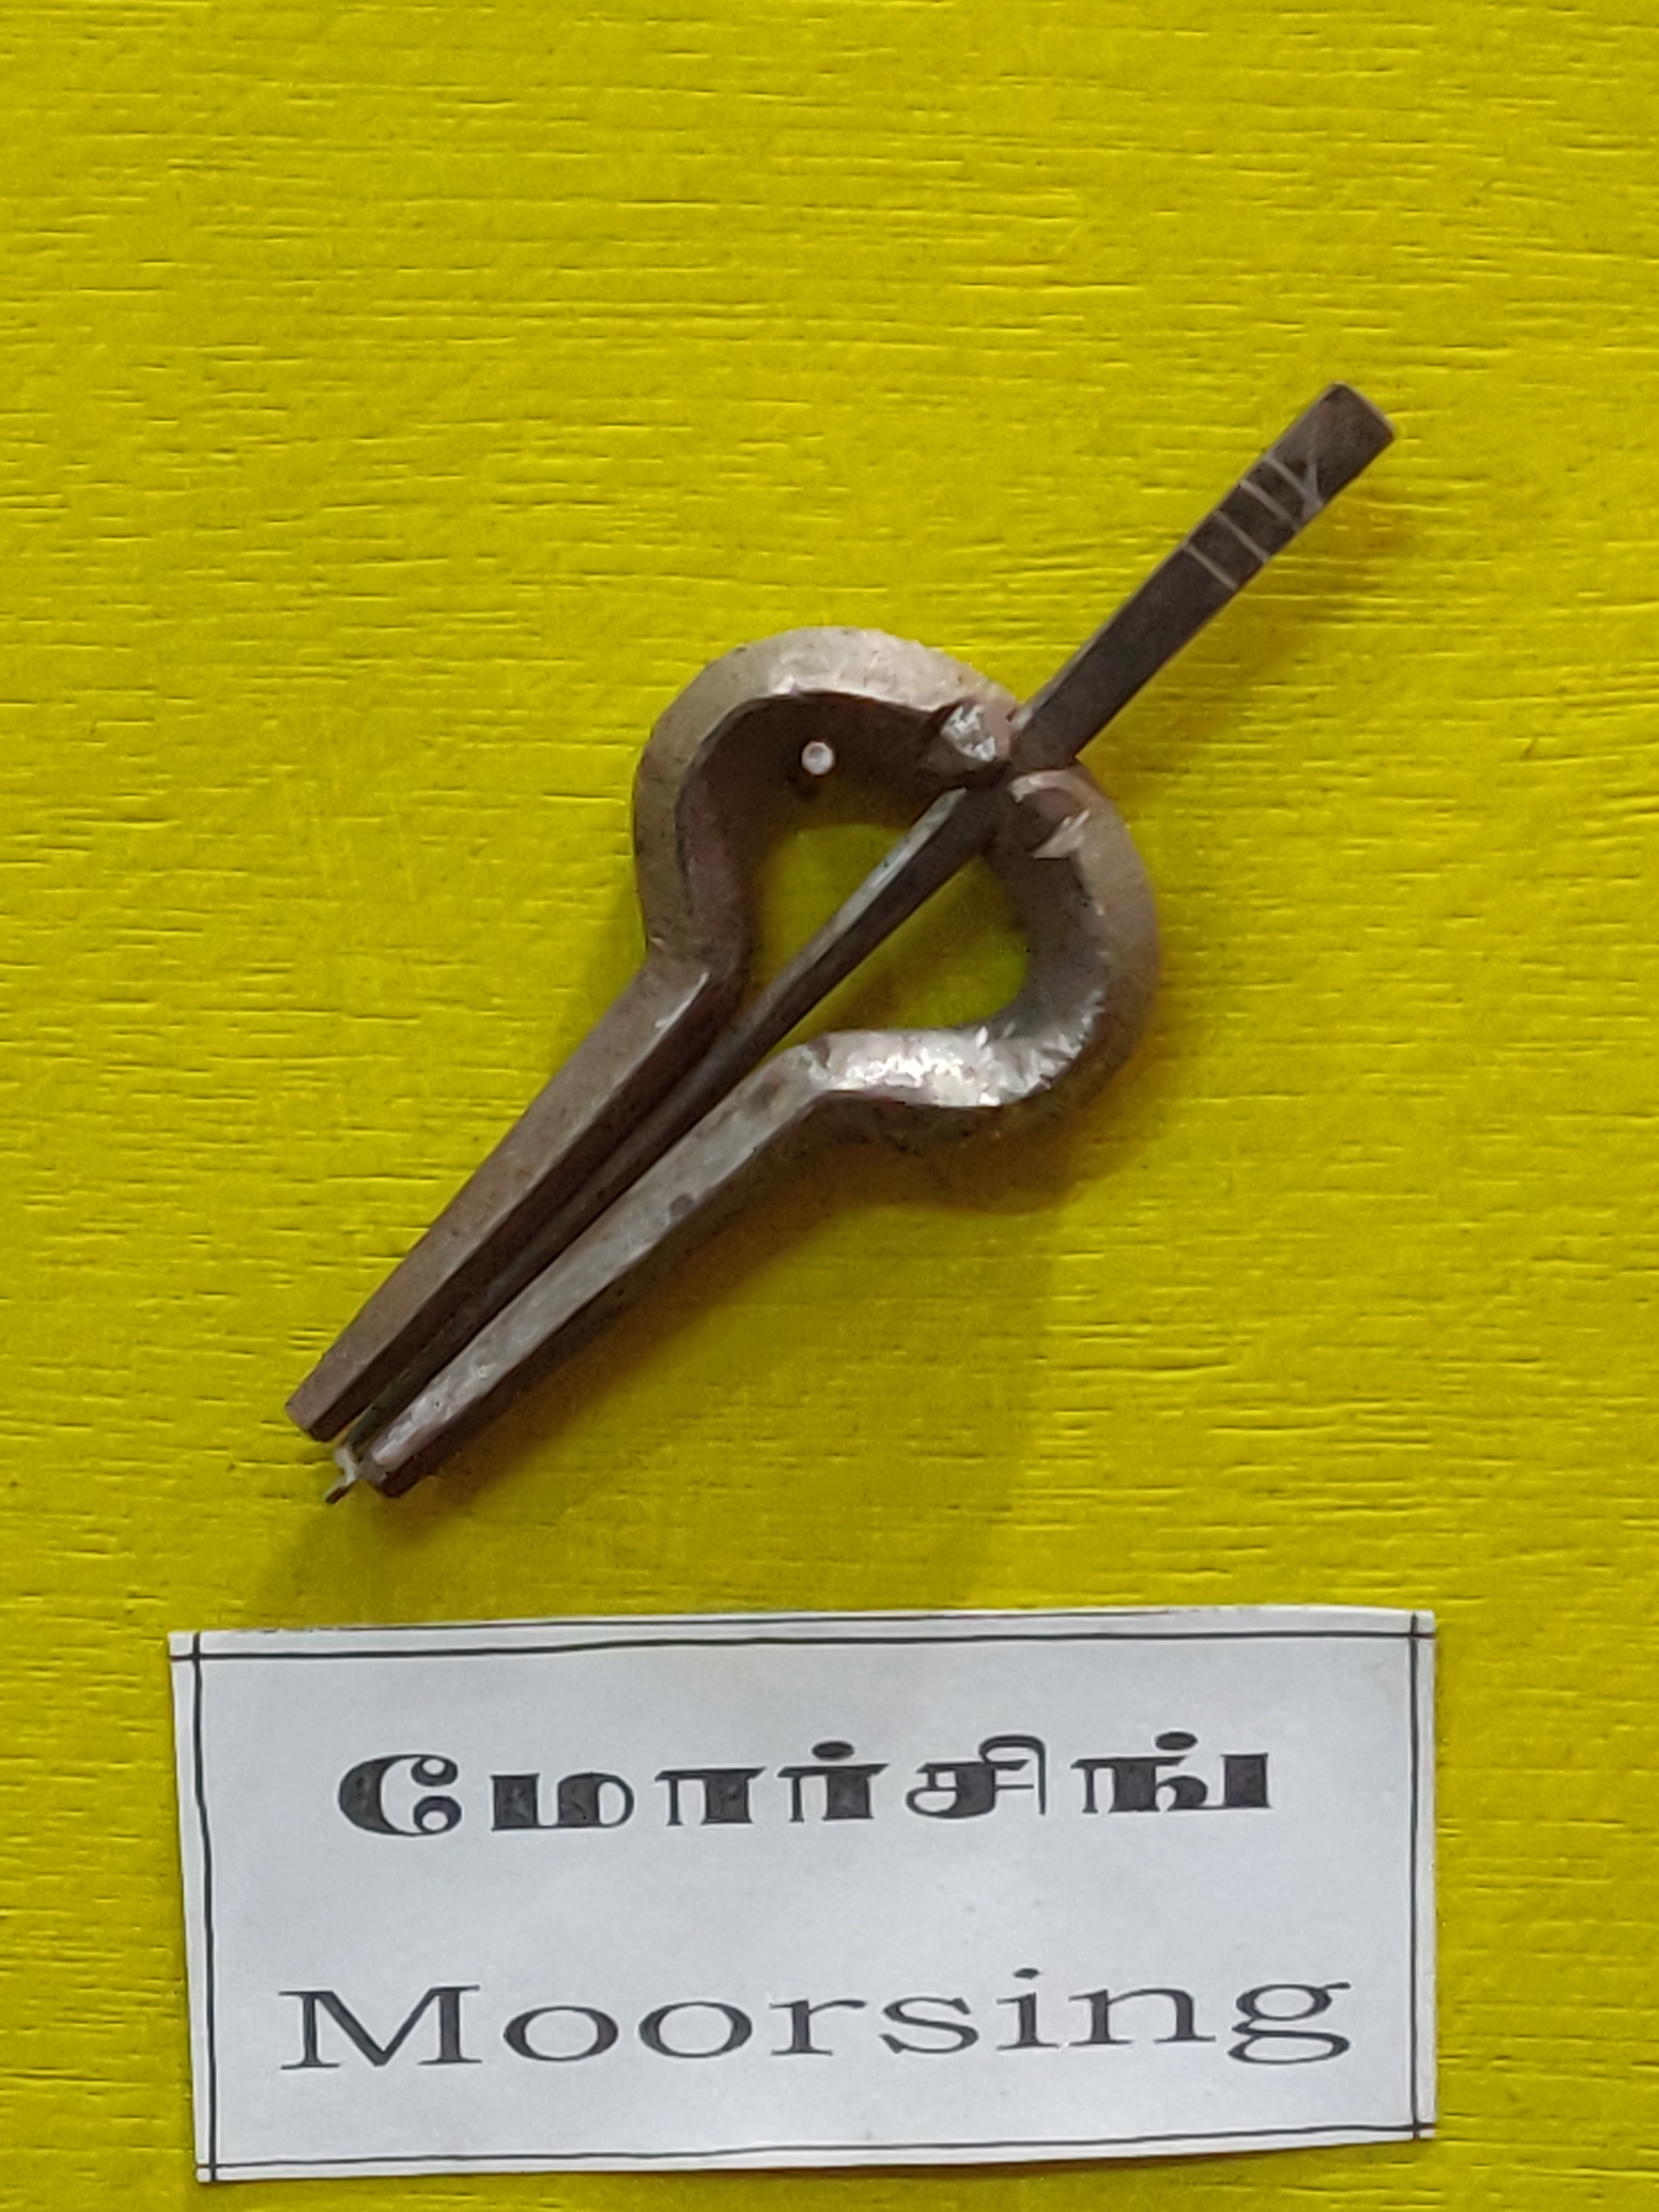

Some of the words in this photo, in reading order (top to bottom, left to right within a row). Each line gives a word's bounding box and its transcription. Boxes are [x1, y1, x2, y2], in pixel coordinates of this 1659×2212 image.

[328, 1723, 1282, 1845] மோா்சிங்
[273, 1960, 1360, 2075] Moorsing